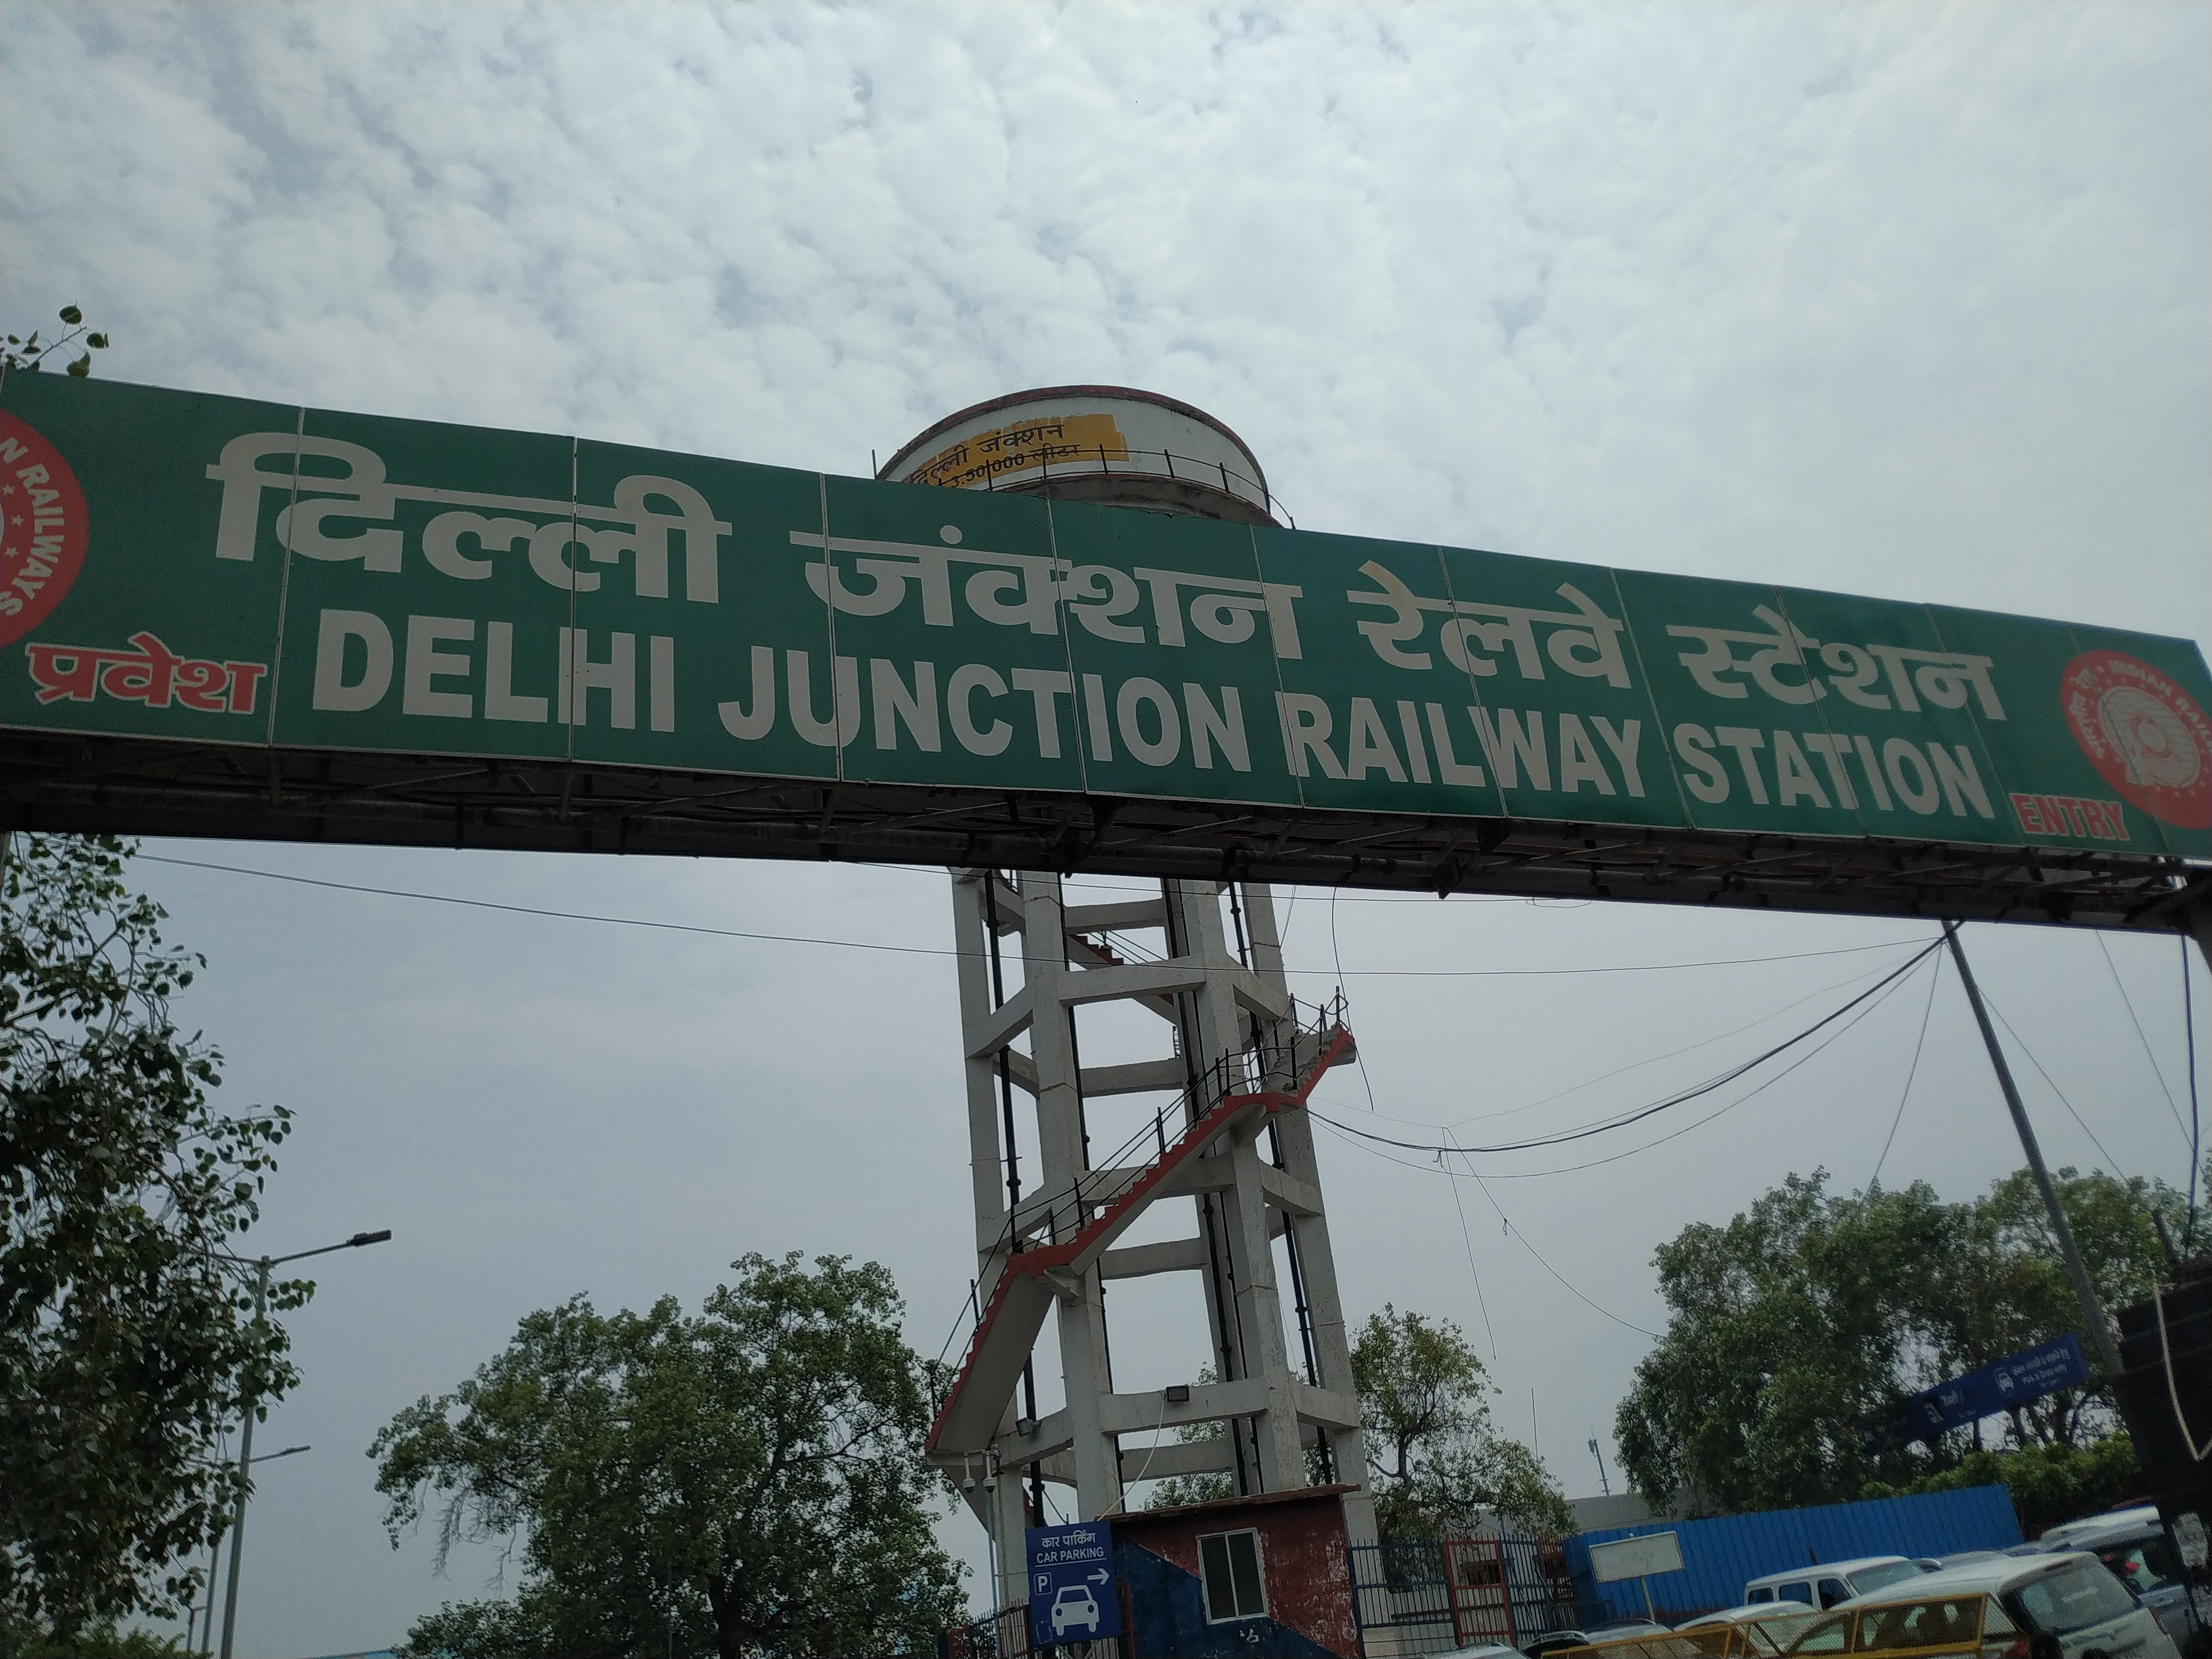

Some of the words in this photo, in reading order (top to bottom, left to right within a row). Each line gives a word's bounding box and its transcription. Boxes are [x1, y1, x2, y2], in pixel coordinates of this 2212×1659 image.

[971, 417, 1071, 461] जंक्शन
[1024, 439, 1086, 463] लीटर
[4, 456, 74, 605] RAILWAY
[199, 427, 735, 608] दिल्ली
[24, 627, 271, 720] प्रवेश
[307, 604, 680, 737] DELHI
[710, 641, 1256, 776] JUNCTION
[789, 516, 1306, 664] जंक्शन
[1274, 687, 1649, 801] रबाजाचा
[1343, 555, 1635, 695] रेलवे
[1665, 717, 1995, 817] STATION
[1664, 599, 2012, 724] स्टेशन
[2065, 660, 2101, 691] रेल
[2067, 687, 2114, 764] भारतीय
[2104, 657, 2178, 700] INDIAN
[2004, 790, 2134, 843] ENTRY
[1031, 1549, 1060, 1567] CAR
[1039, 1533, 1063, 1552] कार
[1060, 1523, 1099, 1550] पार्किंग
[1058, 1545, 1107, 1563] PARKING